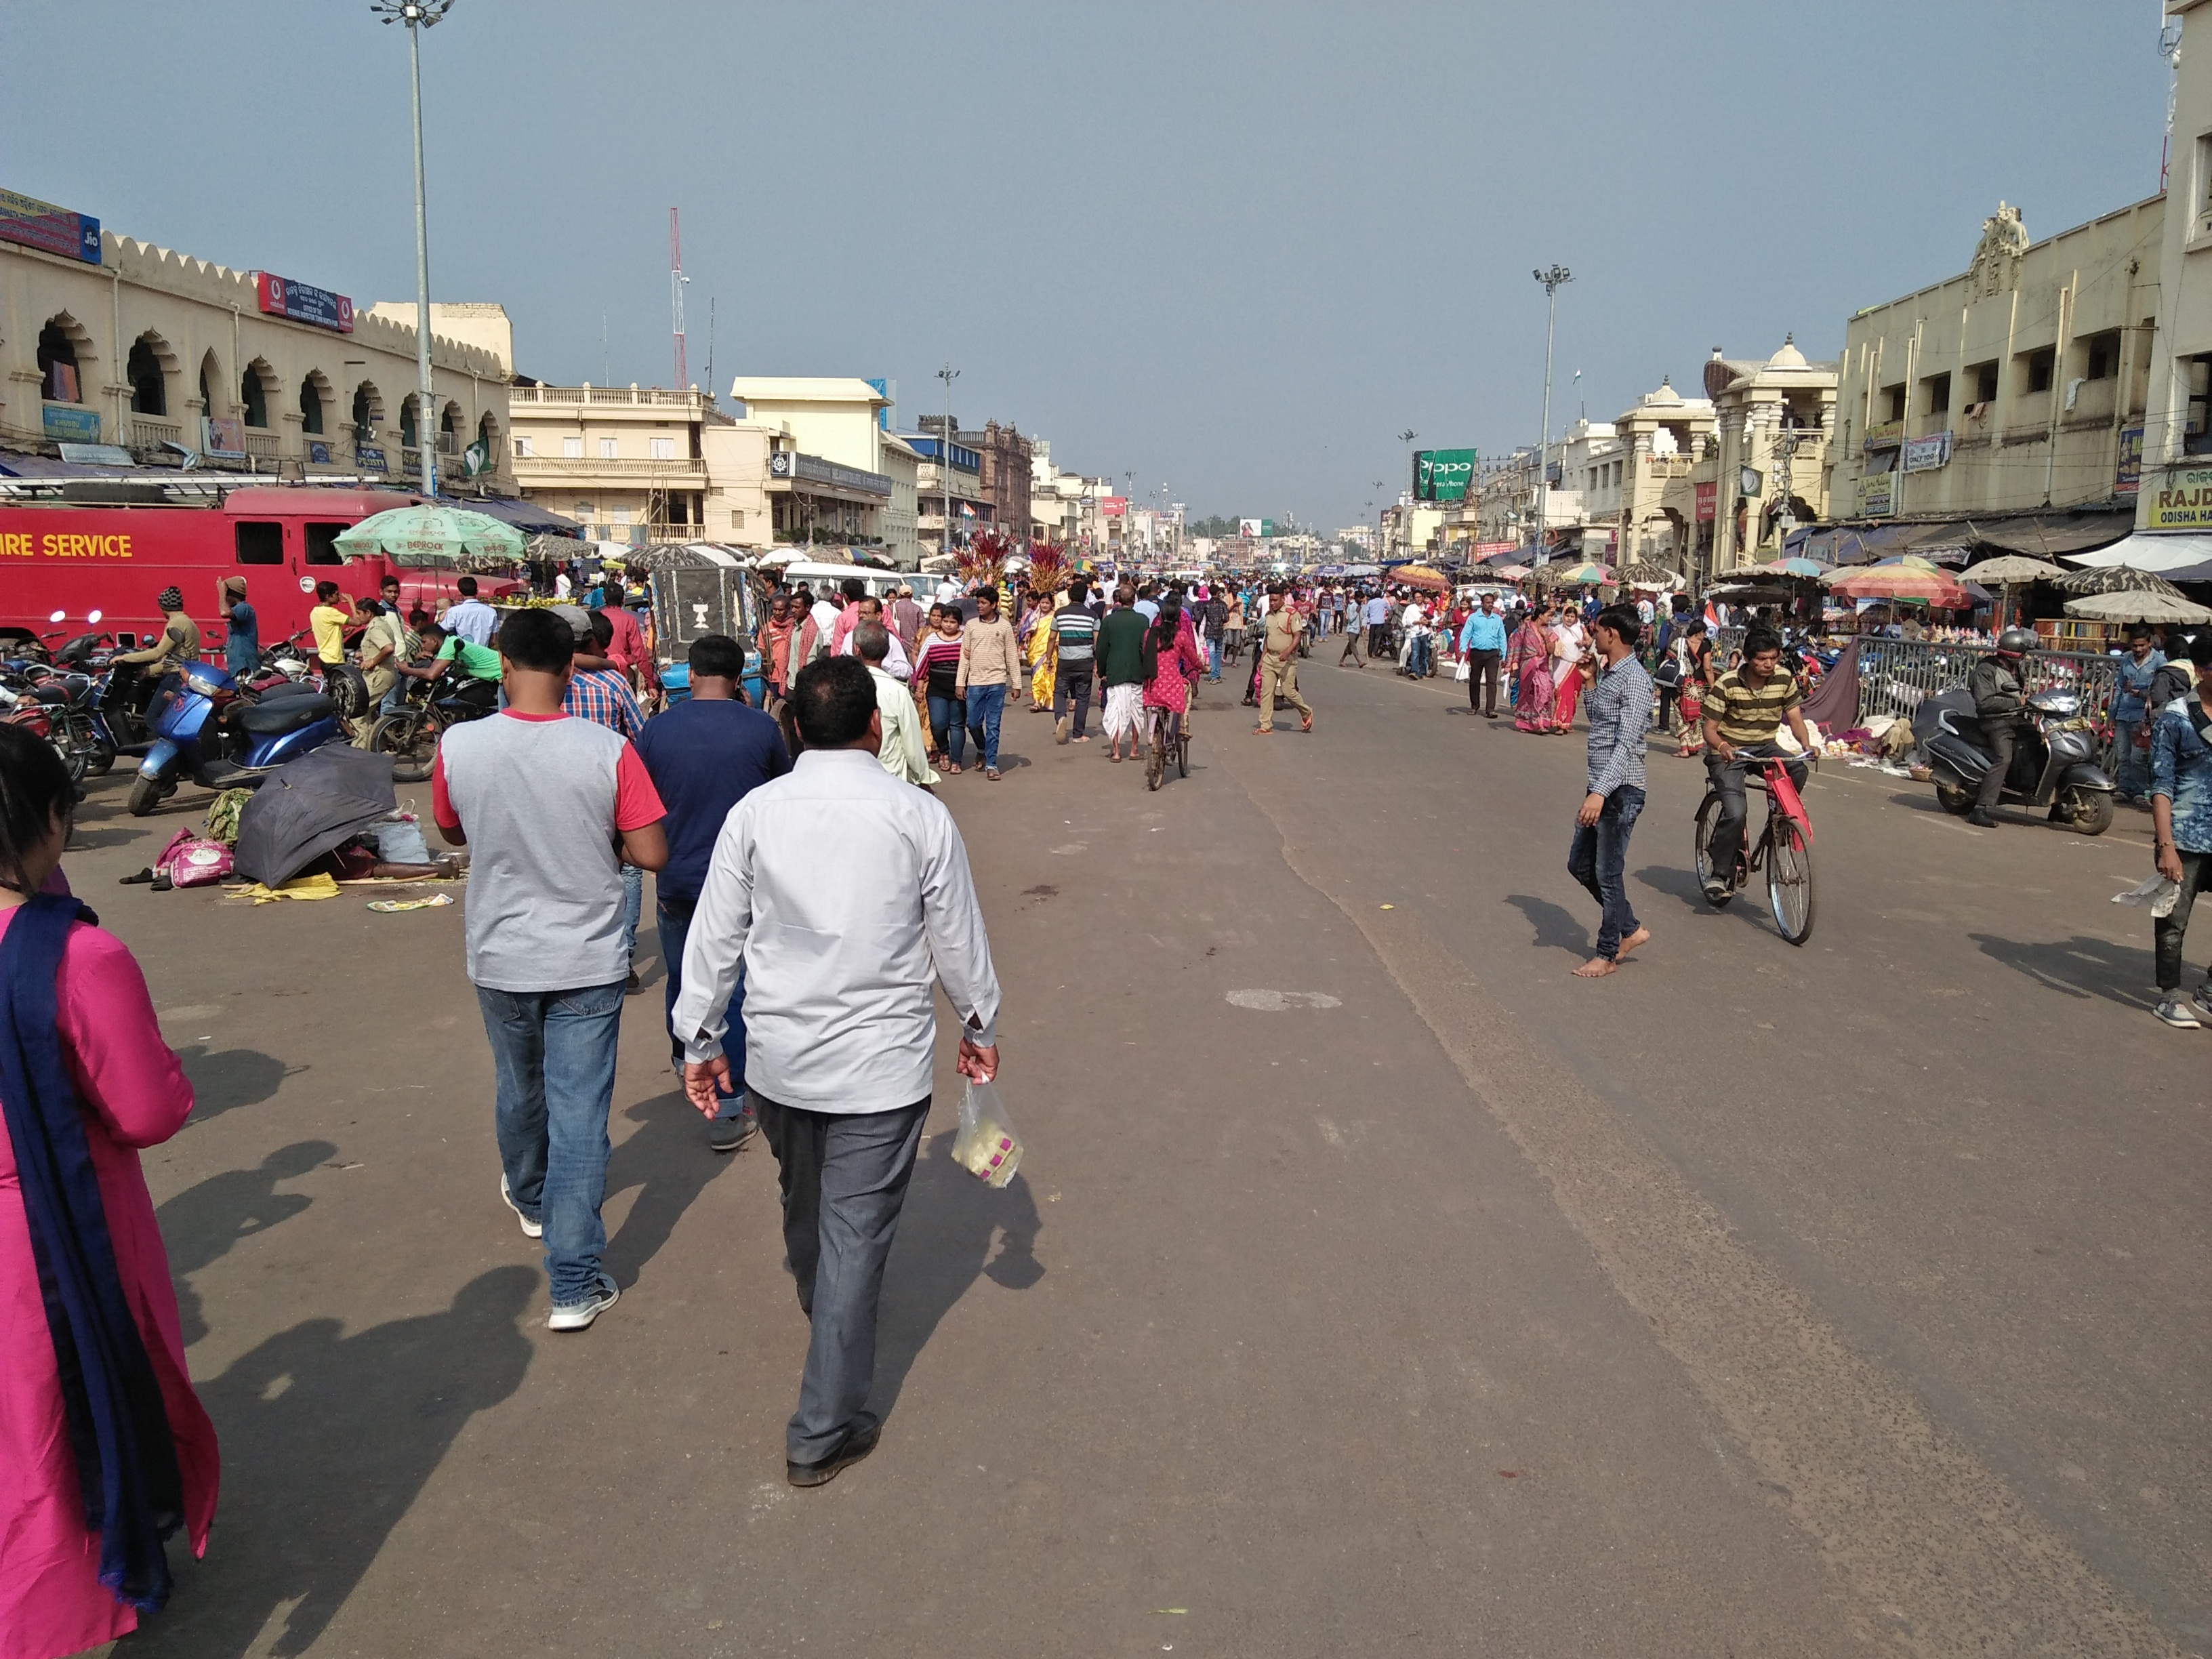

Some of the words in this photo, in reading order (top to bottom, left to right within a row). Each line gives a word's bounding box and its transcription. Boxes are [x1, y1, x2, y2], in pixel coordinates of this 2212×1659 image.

[1413, 454, 1476, 477] OPPO
[2153, 485, 2211, 510] RAJD
[2156, 509, 2199, 527] ODISHA
[42, 531, 135, 560] SERVICE
[405, 537, 445, 552] BEDROCK